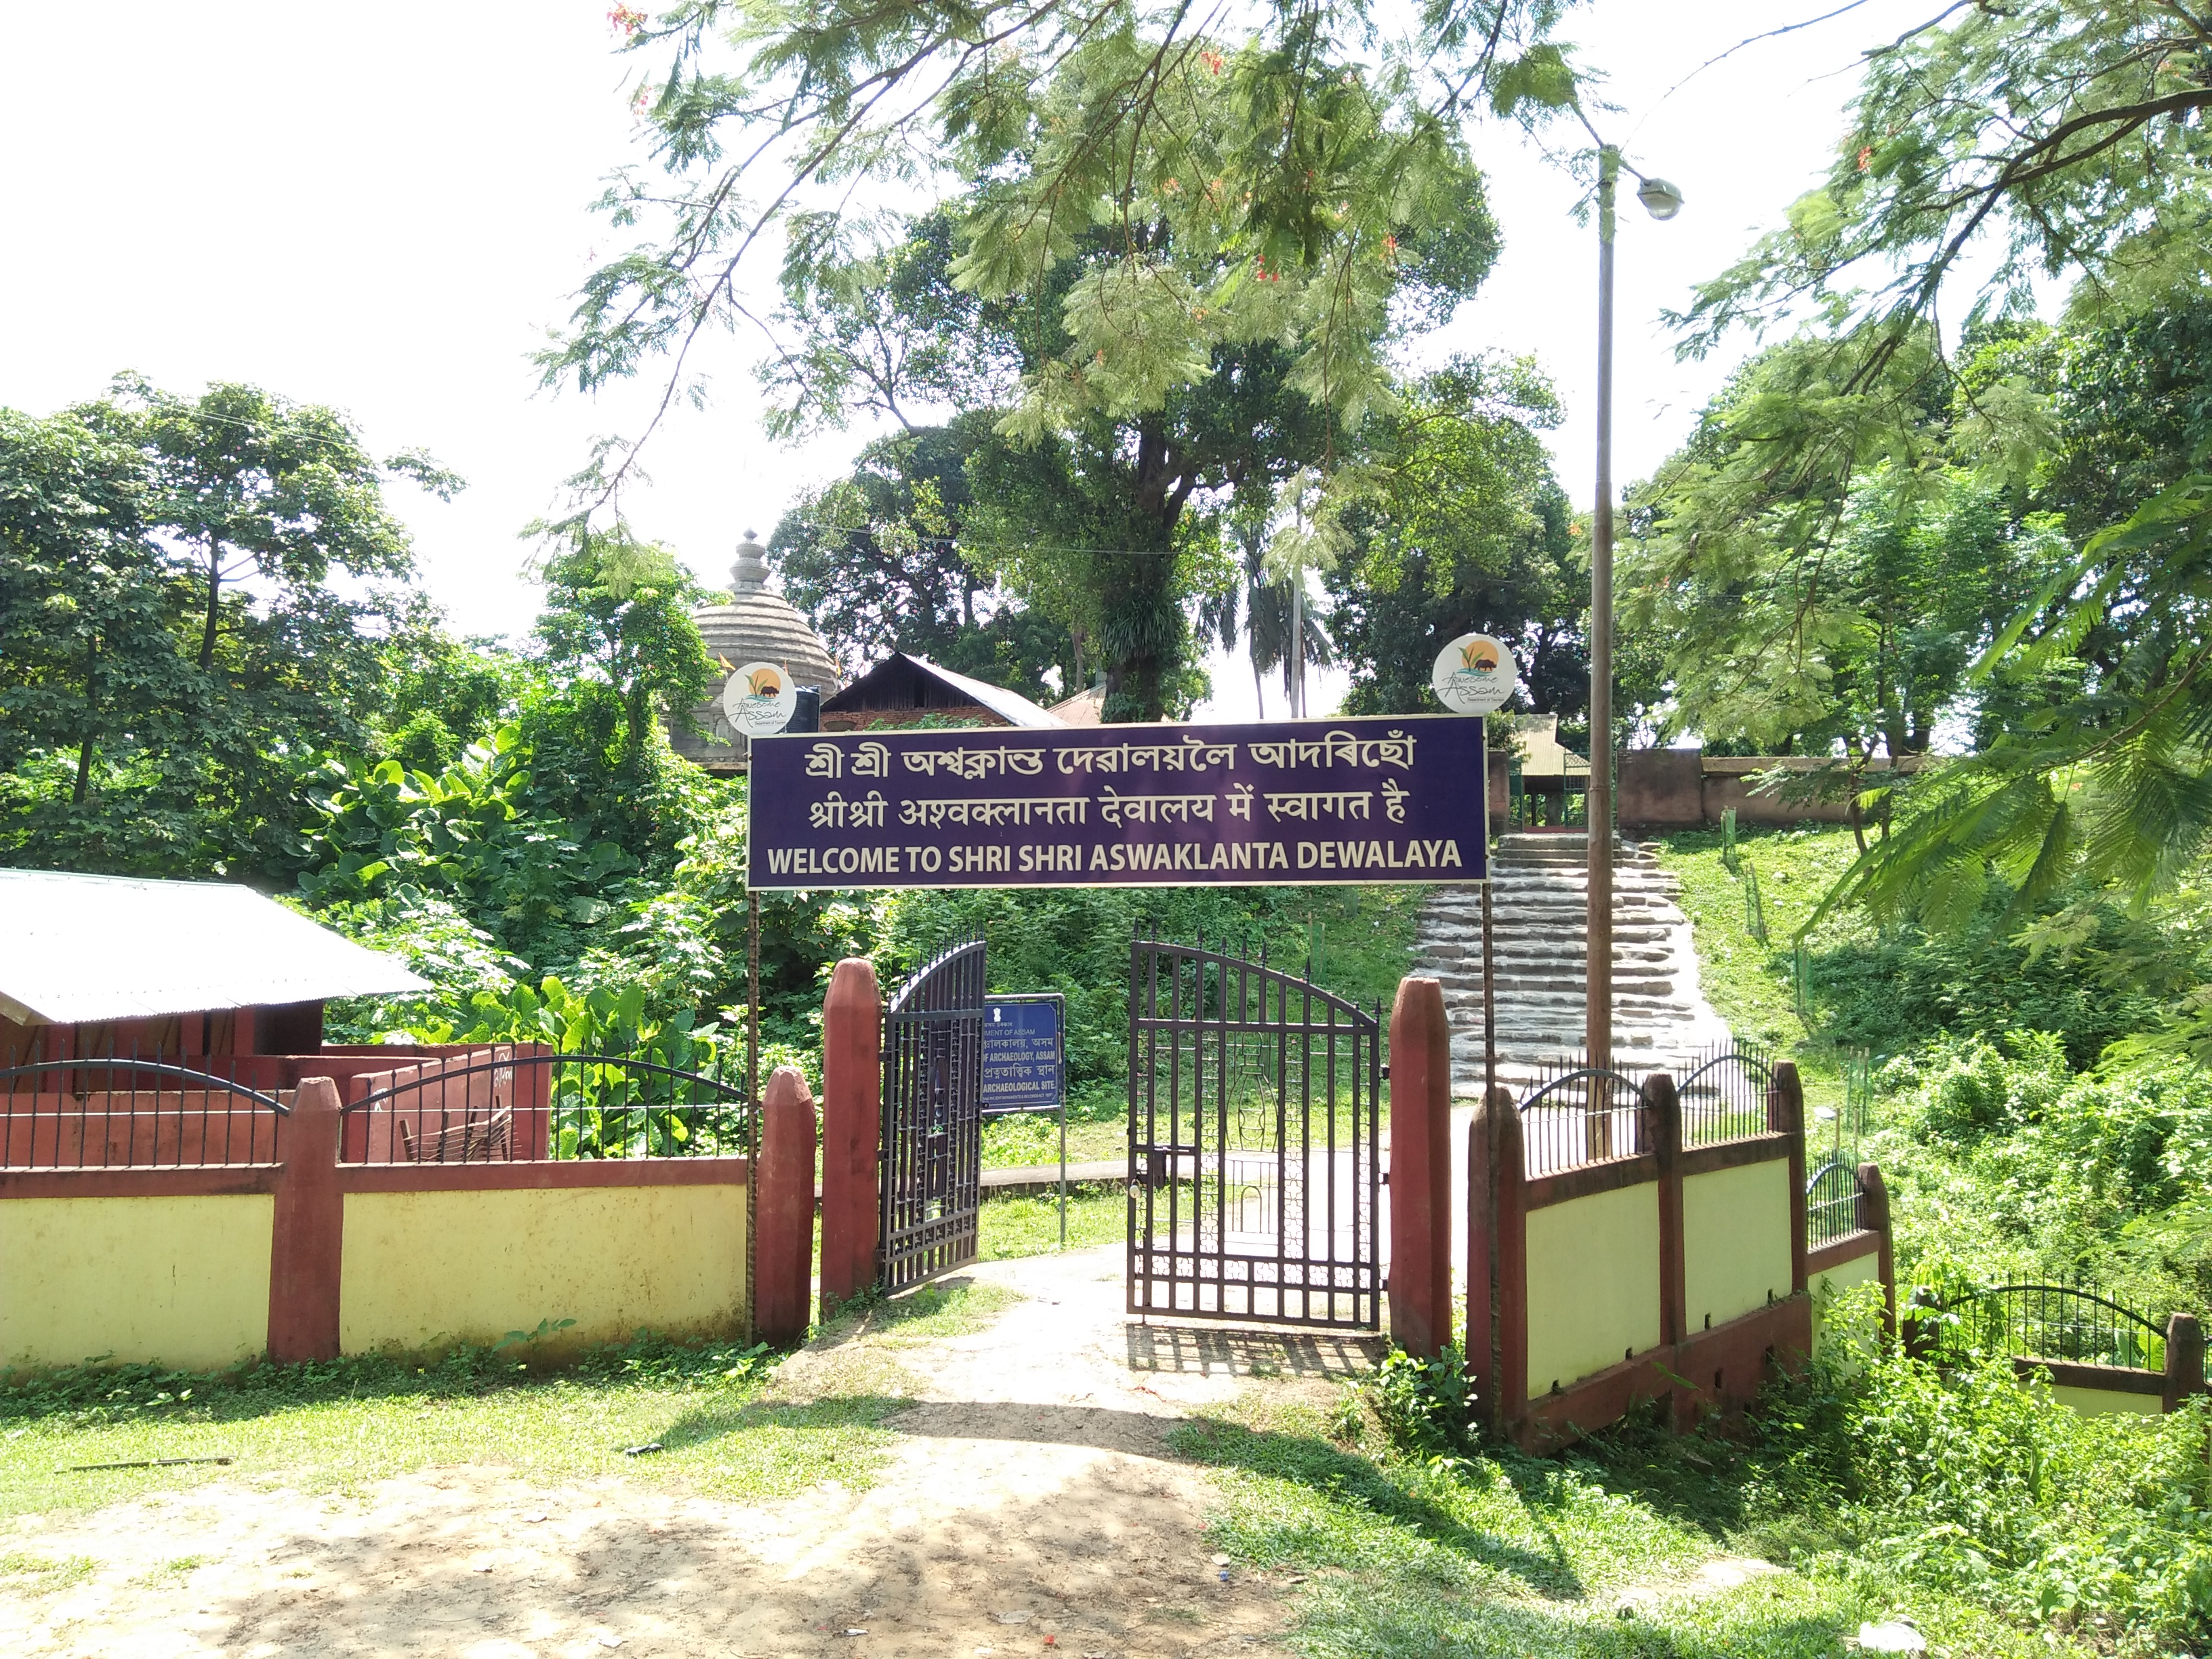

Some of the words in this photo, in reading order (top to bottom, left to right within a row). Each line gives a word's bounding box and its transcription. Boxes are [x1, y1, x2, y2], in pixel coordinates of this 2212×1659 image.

[793, 731, 897, 785] শ্ৰীশ্ৰী
[897, 739, 1050, 786] অশ্বক্লান্ত
[1048, 725, 1240, 779] দেৱালয়লৈ
[1246, 722, 1423, 776] আদৰিছোঁ
[804, 781, 893, 837] श्रीश्री
[894, 788, 1094, 830] अश्वक्लानता
[1092, 782, 1219, 832] देवालय
[1225, 775, 1261, 825] में
[1261, 784, 1376, 831] स्वागत
[1376, 772, 1414, 834] है
[764, 842, 903, 879] WELCOME
[899, 834, 948, 877] TO
[942, 838, 1017, 877] SHRI
[1009, 838, 1087, 878] SHRI
[1084, 836, 1293, 876] ASWAKLANTA
[1293, 833, 1468, 875] DEWALAYA
[980, 1031, 1029, 1054] কালকালয়,
[1000, 1024, 1017, 1040] OF
[982, 1059, 1038, 1082] প্রত্নতাত্ত্বিক
[987, 1046, 1036, 1067] ARCHAEOLOGY,
[979, 1076, 1046, 1097] ARCHAEOLOGICAL
[1009, 1023, 1038, 1038] ASSAM
[1026, 1033, 1058, 1050] অসম
[1032, 1059, 1057, 1080] স্থান
[1032, 1046, 1059, 1065] ASSAM
[1037, 1075, 1059, 1094] SITE